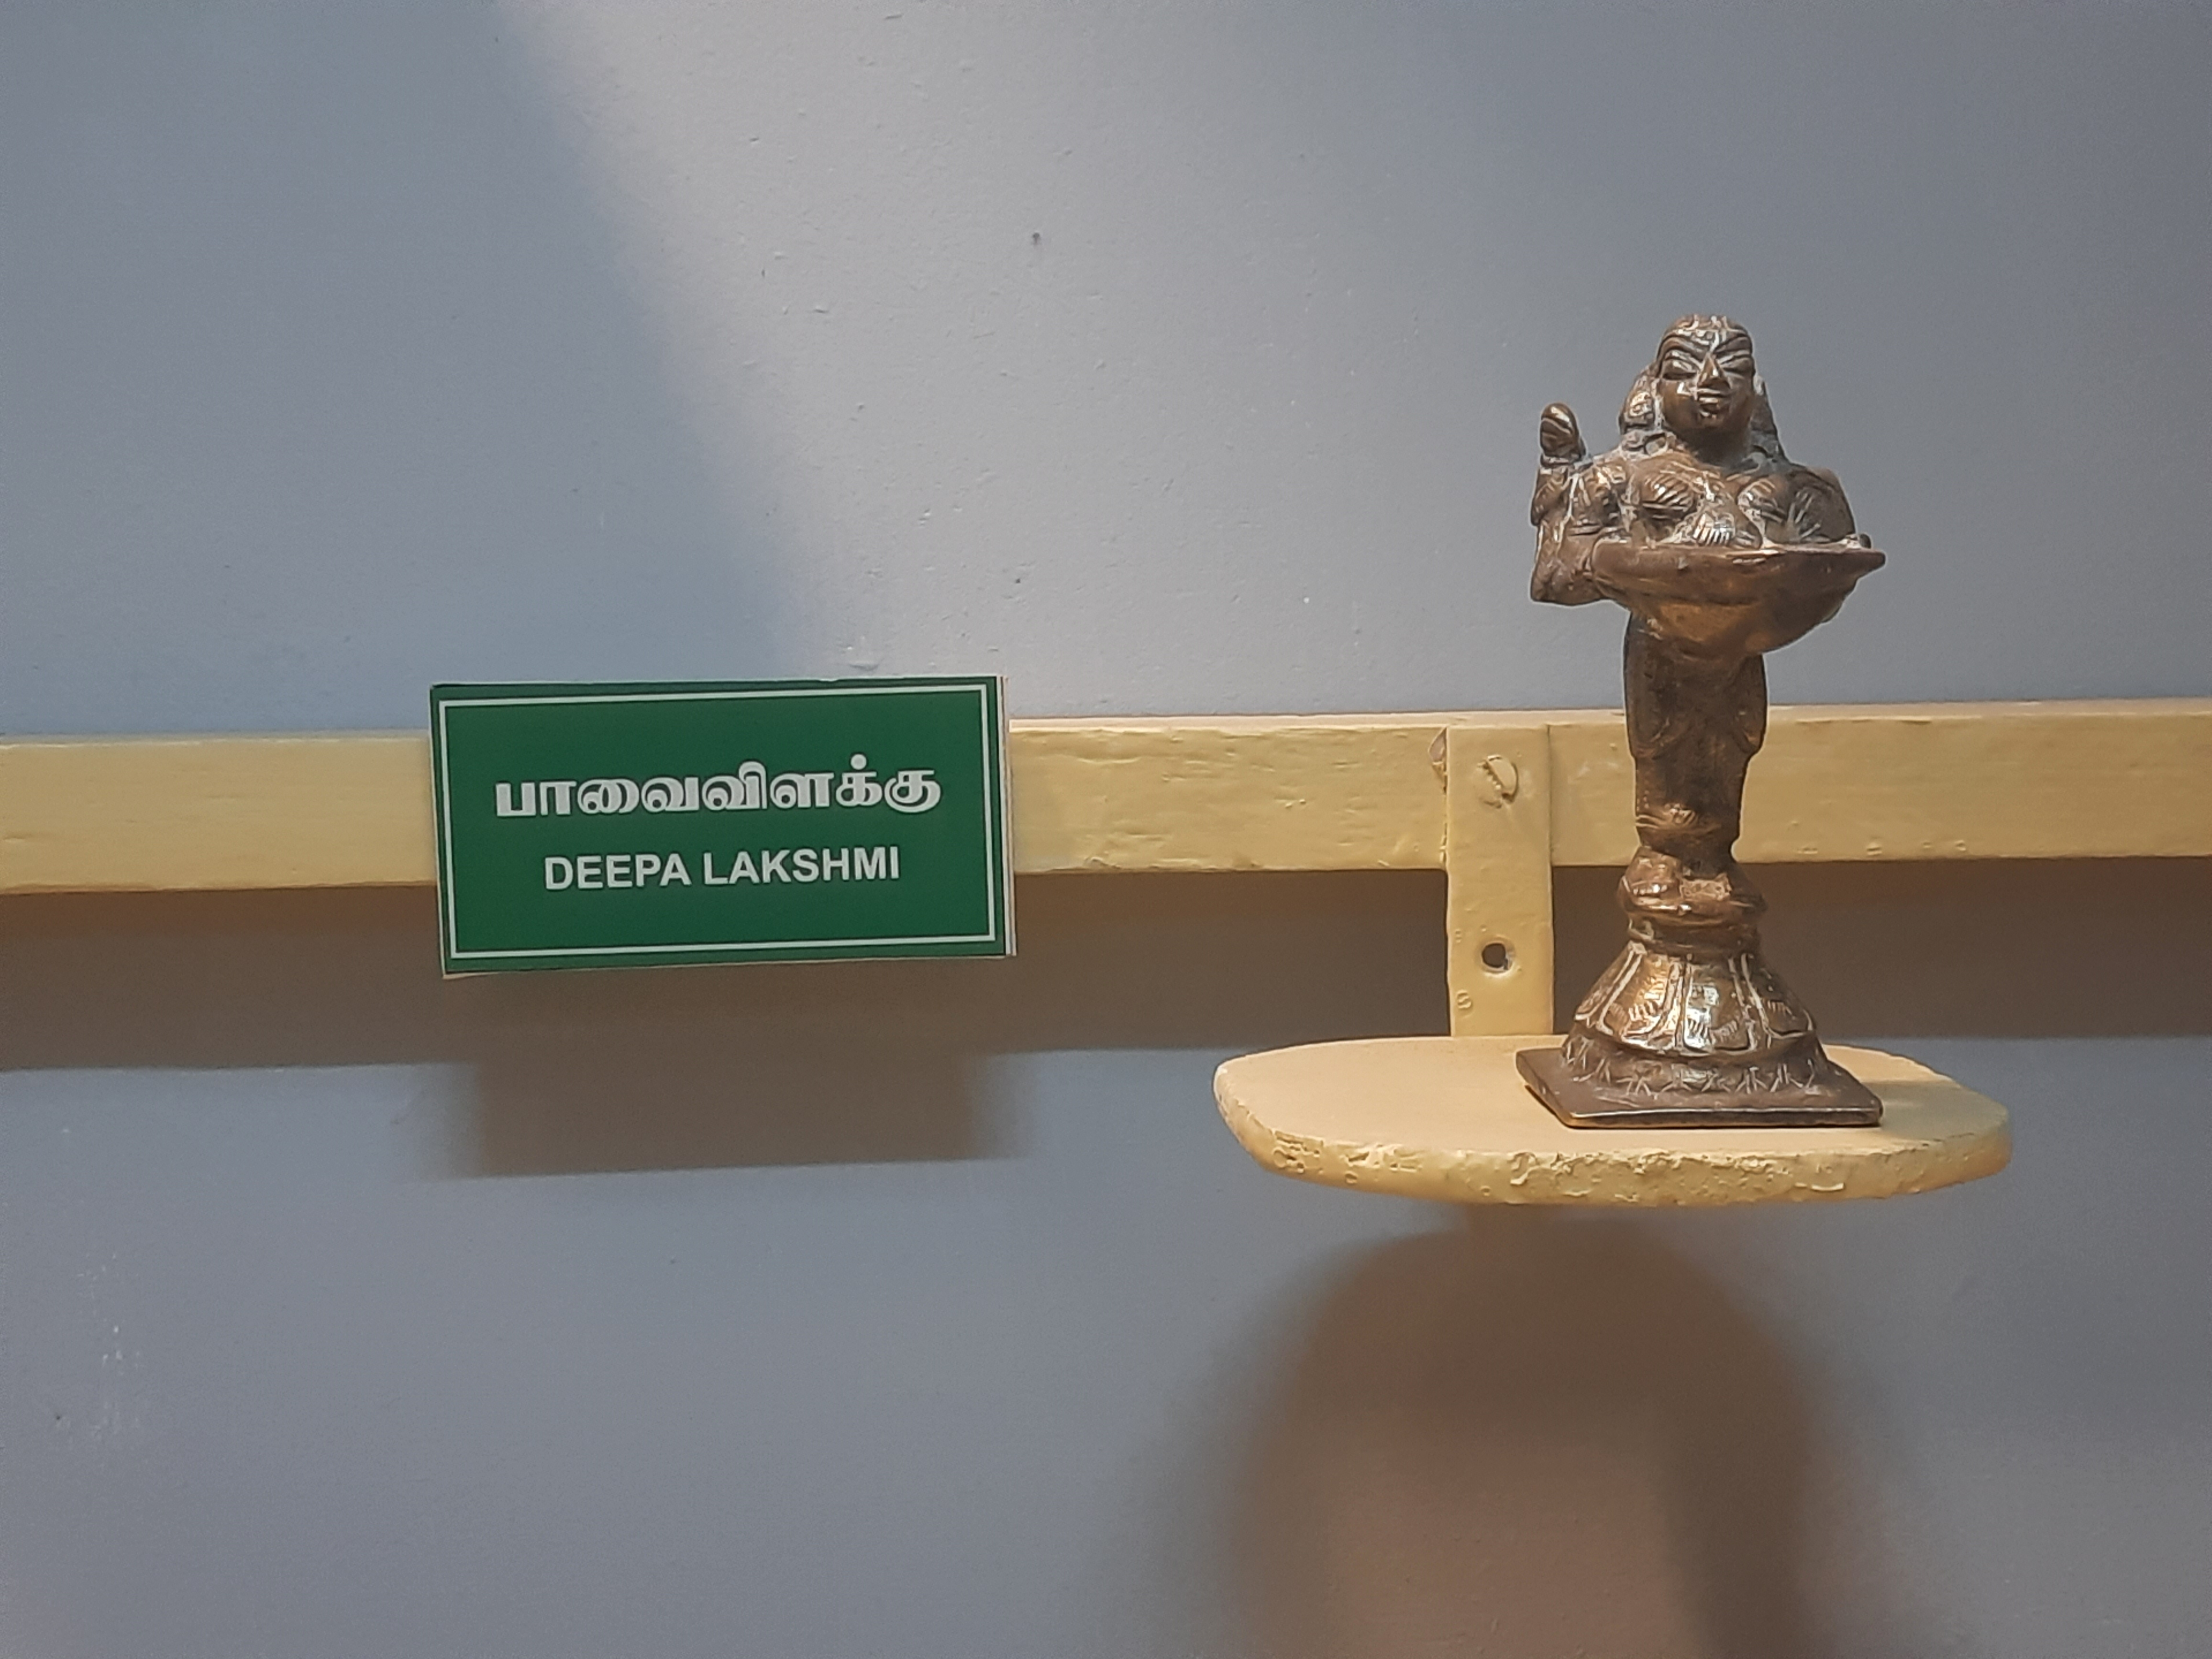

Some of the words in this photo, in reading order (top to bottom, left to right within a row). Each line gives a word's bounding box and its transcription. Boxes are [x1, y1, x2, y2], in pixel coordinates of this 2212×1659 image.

[493, 748, 951, 818] பாவைவிளக்கு
[542, 850, 694, 897] DEEPA
[697, 839, 904, 892] LAKSHMI